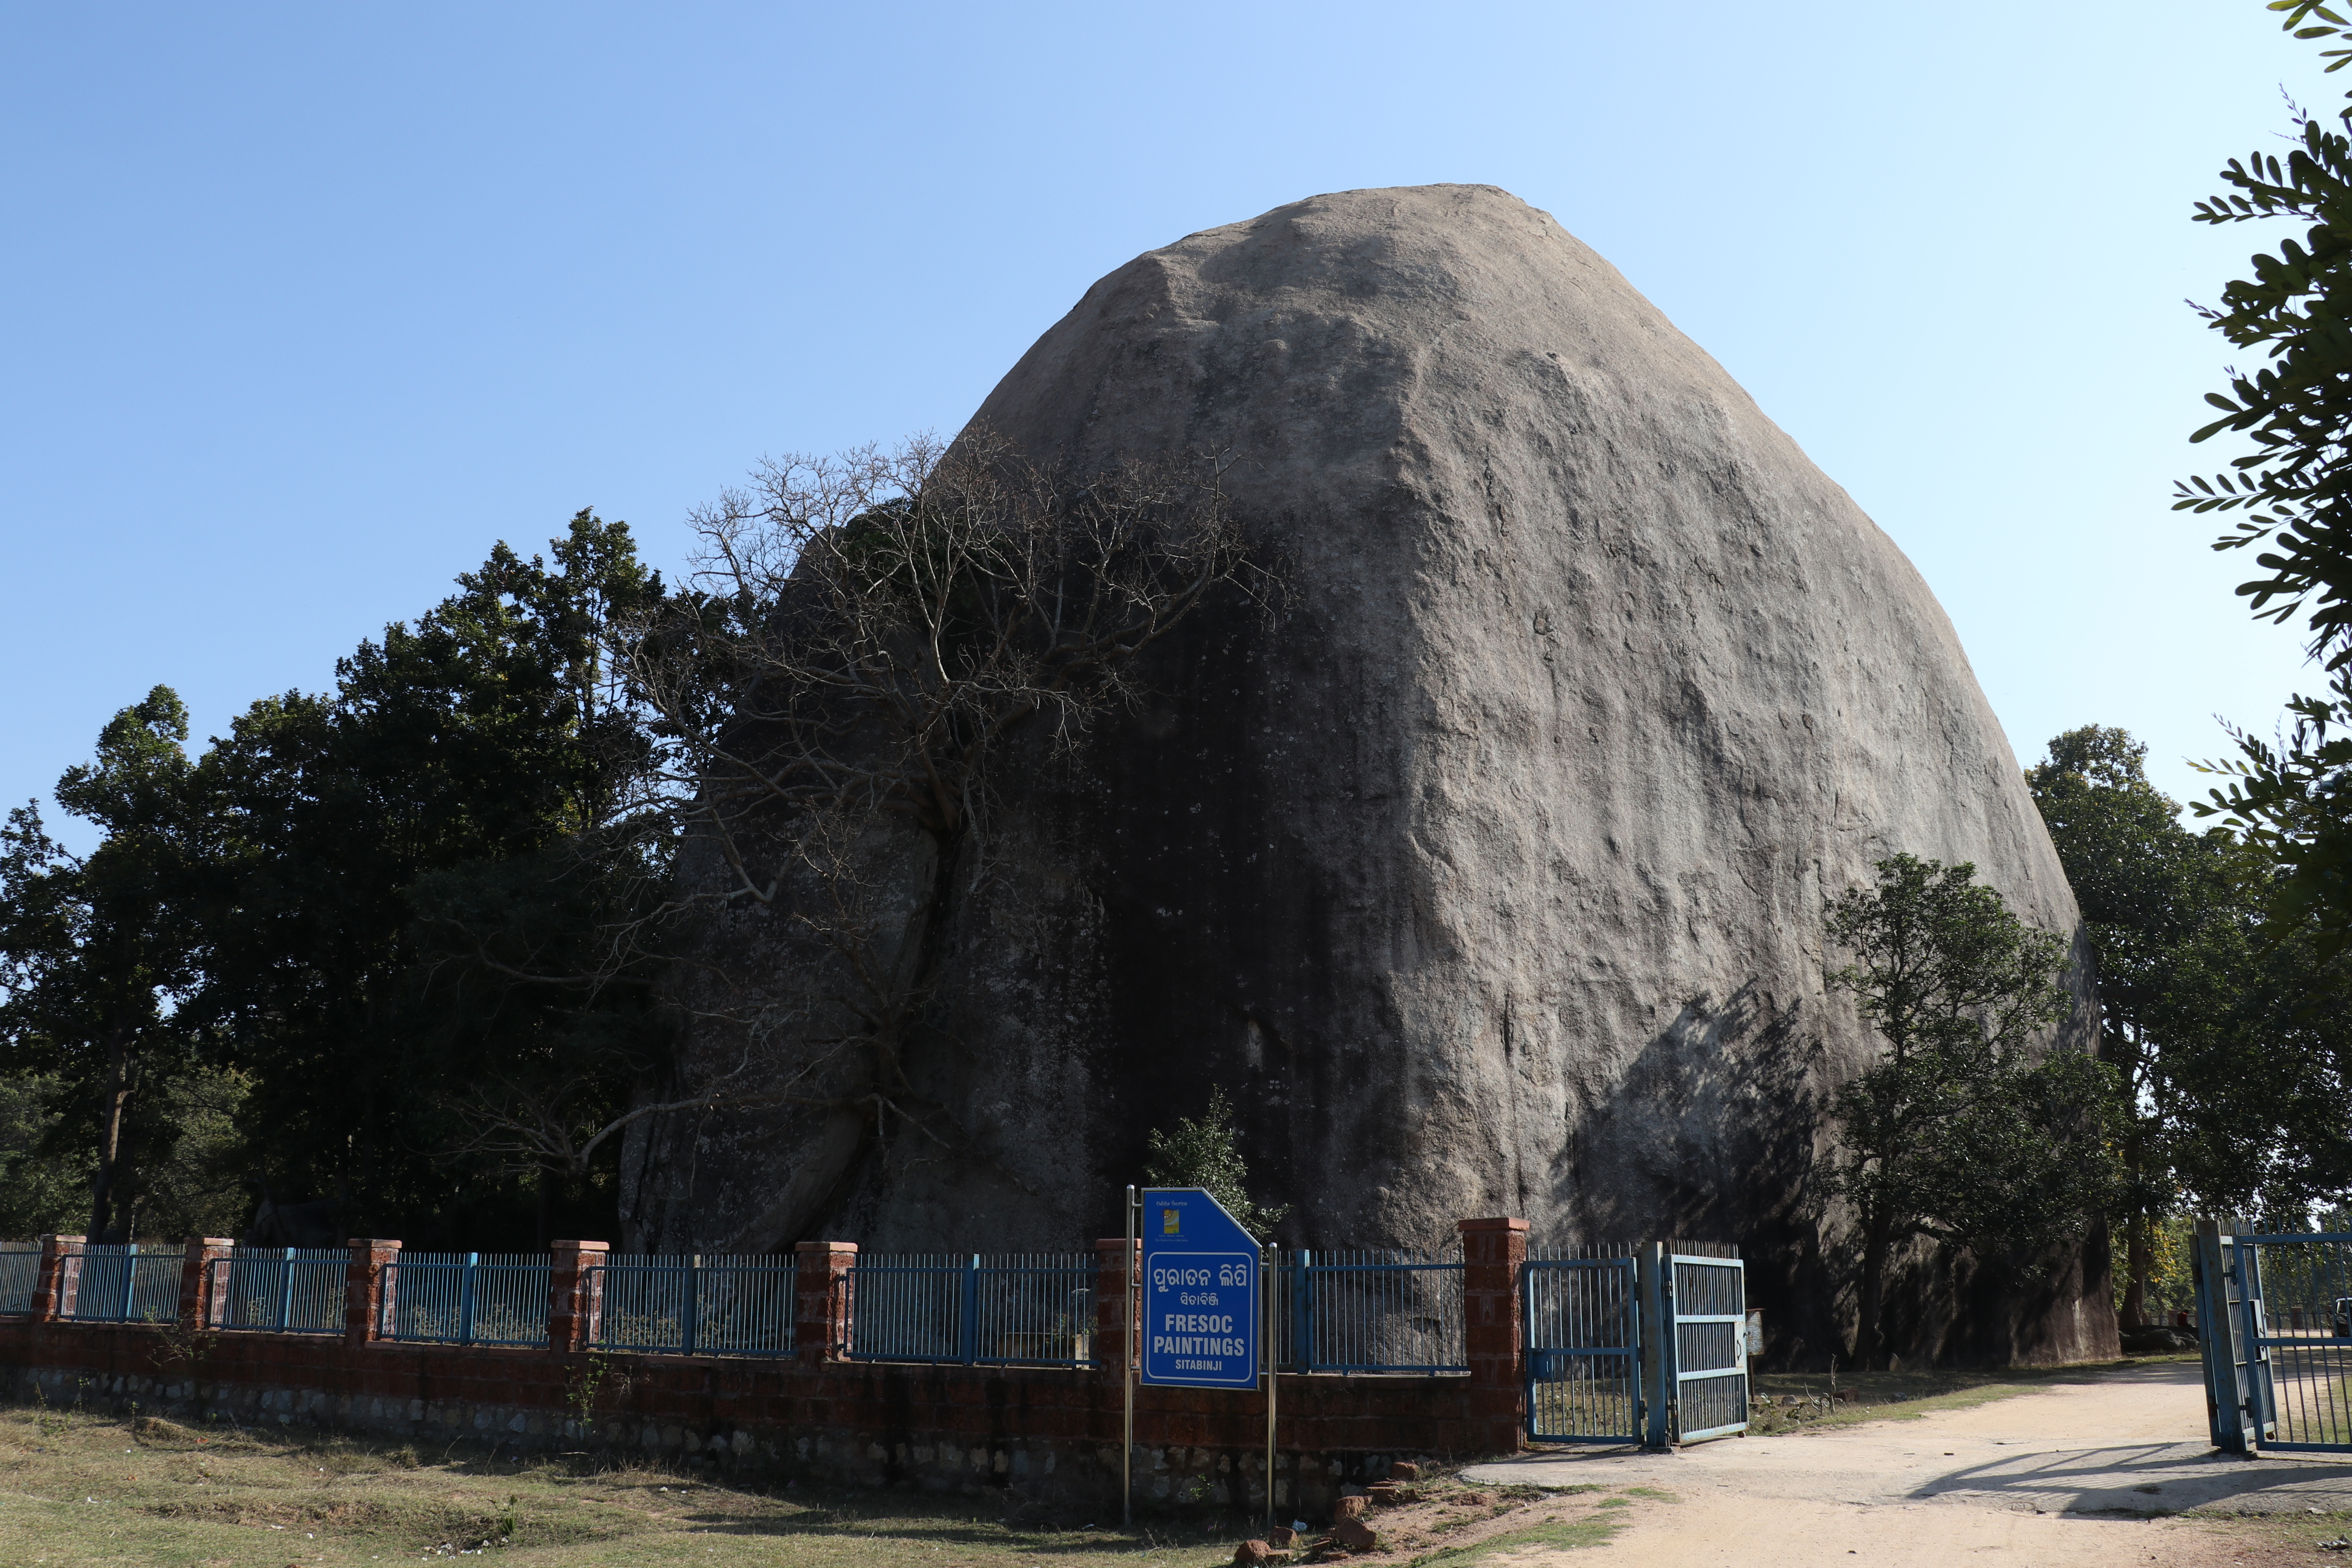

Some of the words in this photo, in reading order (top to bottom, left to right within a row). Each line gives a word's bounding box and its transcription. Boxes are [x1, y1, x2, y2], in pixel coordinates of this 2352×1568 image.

[1152, 1264, 1214, 1297] ପୁରାତନ
[1214, 1260, 1252, 1289] ଲିପି
[1175, 1288, 1221, 1309] ସିତାବିଞ୍ଜି
[1163, 1310, 1235, 1338] FRESOC
[1151, 1333, 1250, 1357] PAINTINGS
[1173, 1356, 1225, 1375] SITABINJI